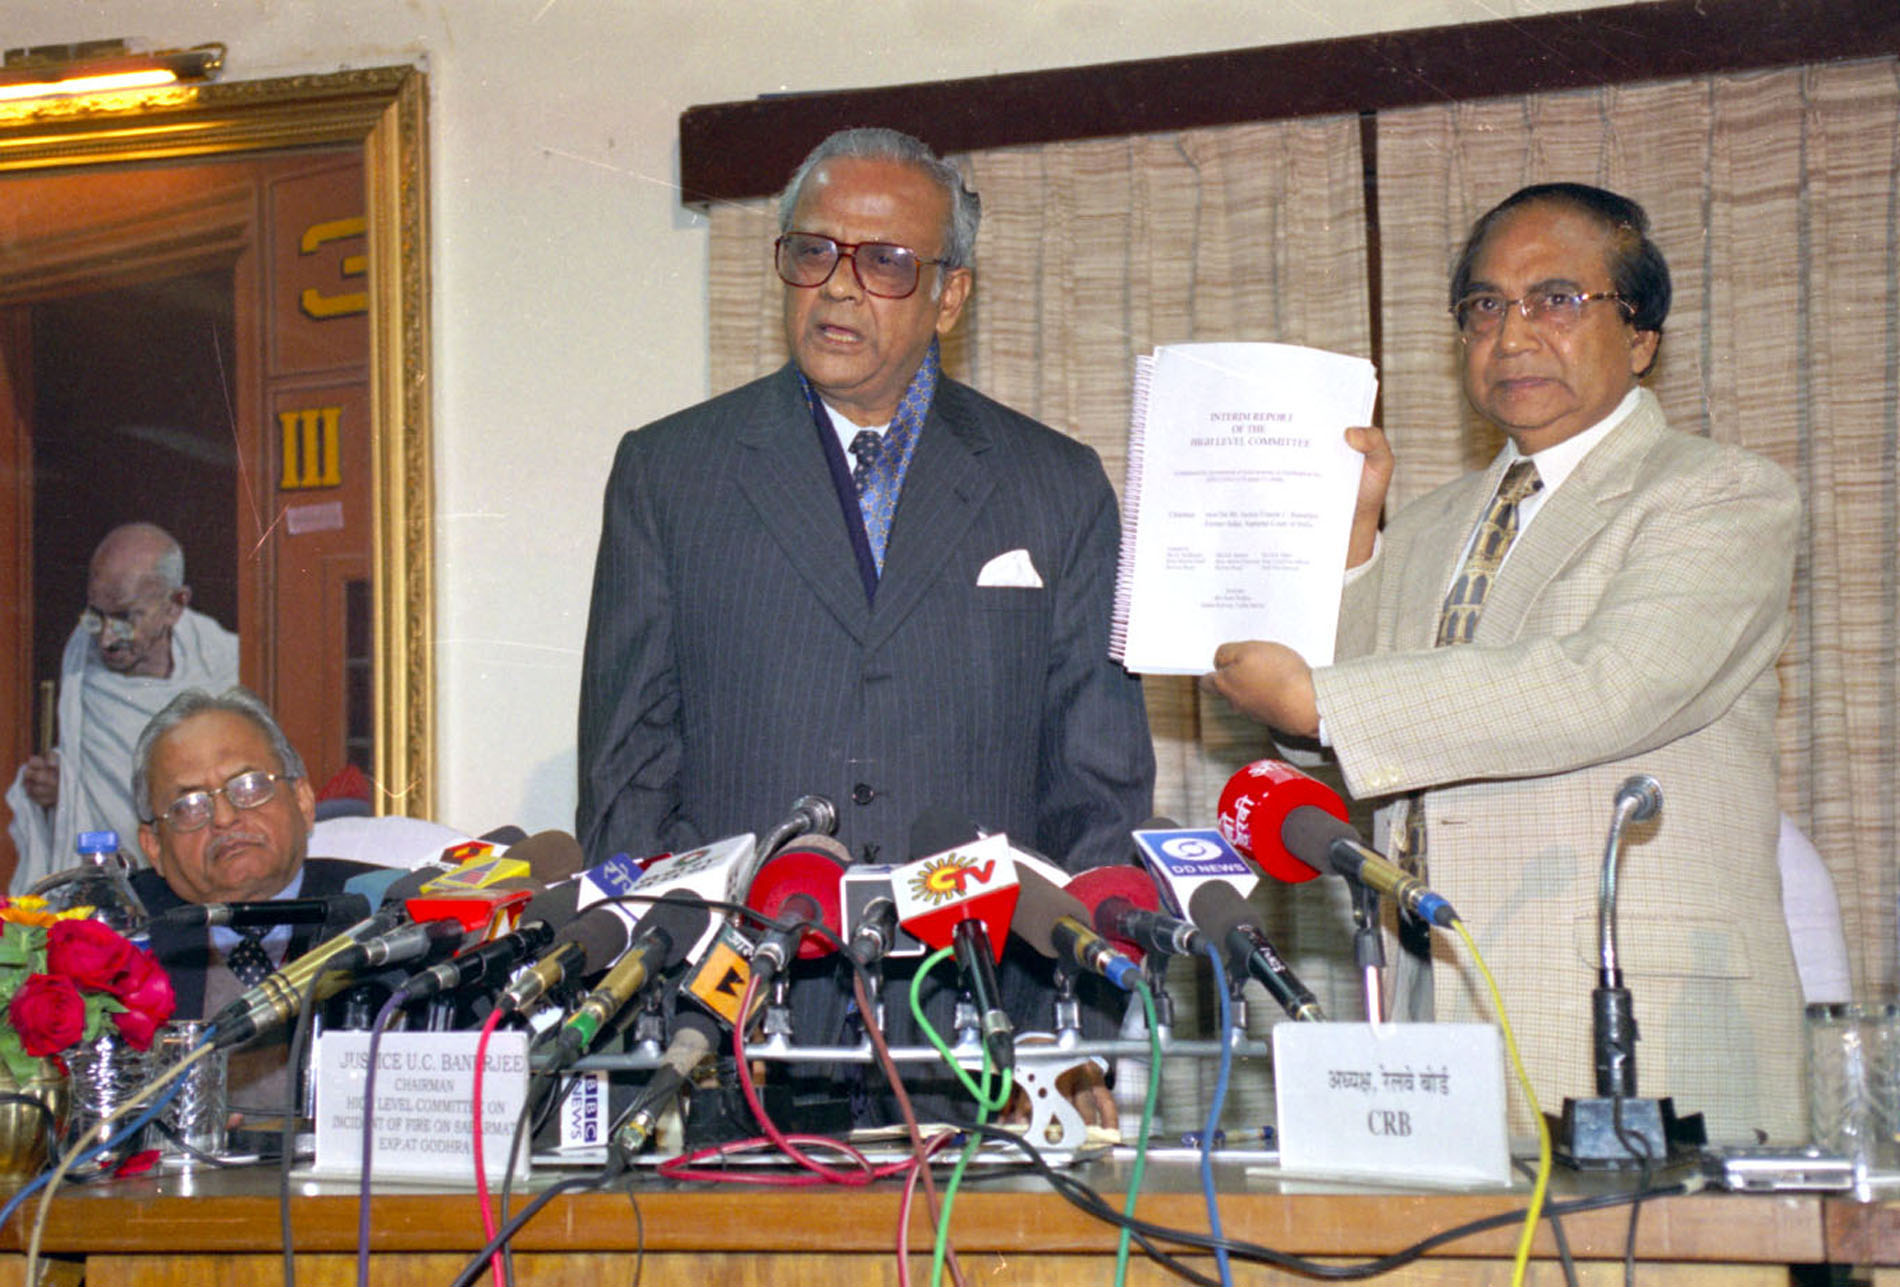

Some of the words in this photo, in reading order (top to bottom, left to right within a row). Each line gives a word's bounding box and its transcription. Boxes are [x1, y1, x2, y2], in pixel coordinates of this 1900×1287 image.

[1228, 422, 1247, 436] OF
[1245, 433, 1313, 450] COMMITTEE
[339, 1049, 404, 1072] JUSICE
[401, 1049, 437, 1073] U.C.
[439, 1049, 528, 1073] BANRJEE
[393, 1074, 460, 1093] CHAIRMAN
[1327, 1065, 1373, 1096] अध्यक्ष
[1376, 1062, 1417, 1095] रेलवे
[1416, 1062, 1452, 1098] बोर्ड
[375, 1095, 415, 1116] LEVEL
[414, 1094, 487, 1118] COMMITTE
[1353, 1098, 1422, 1147] CRB